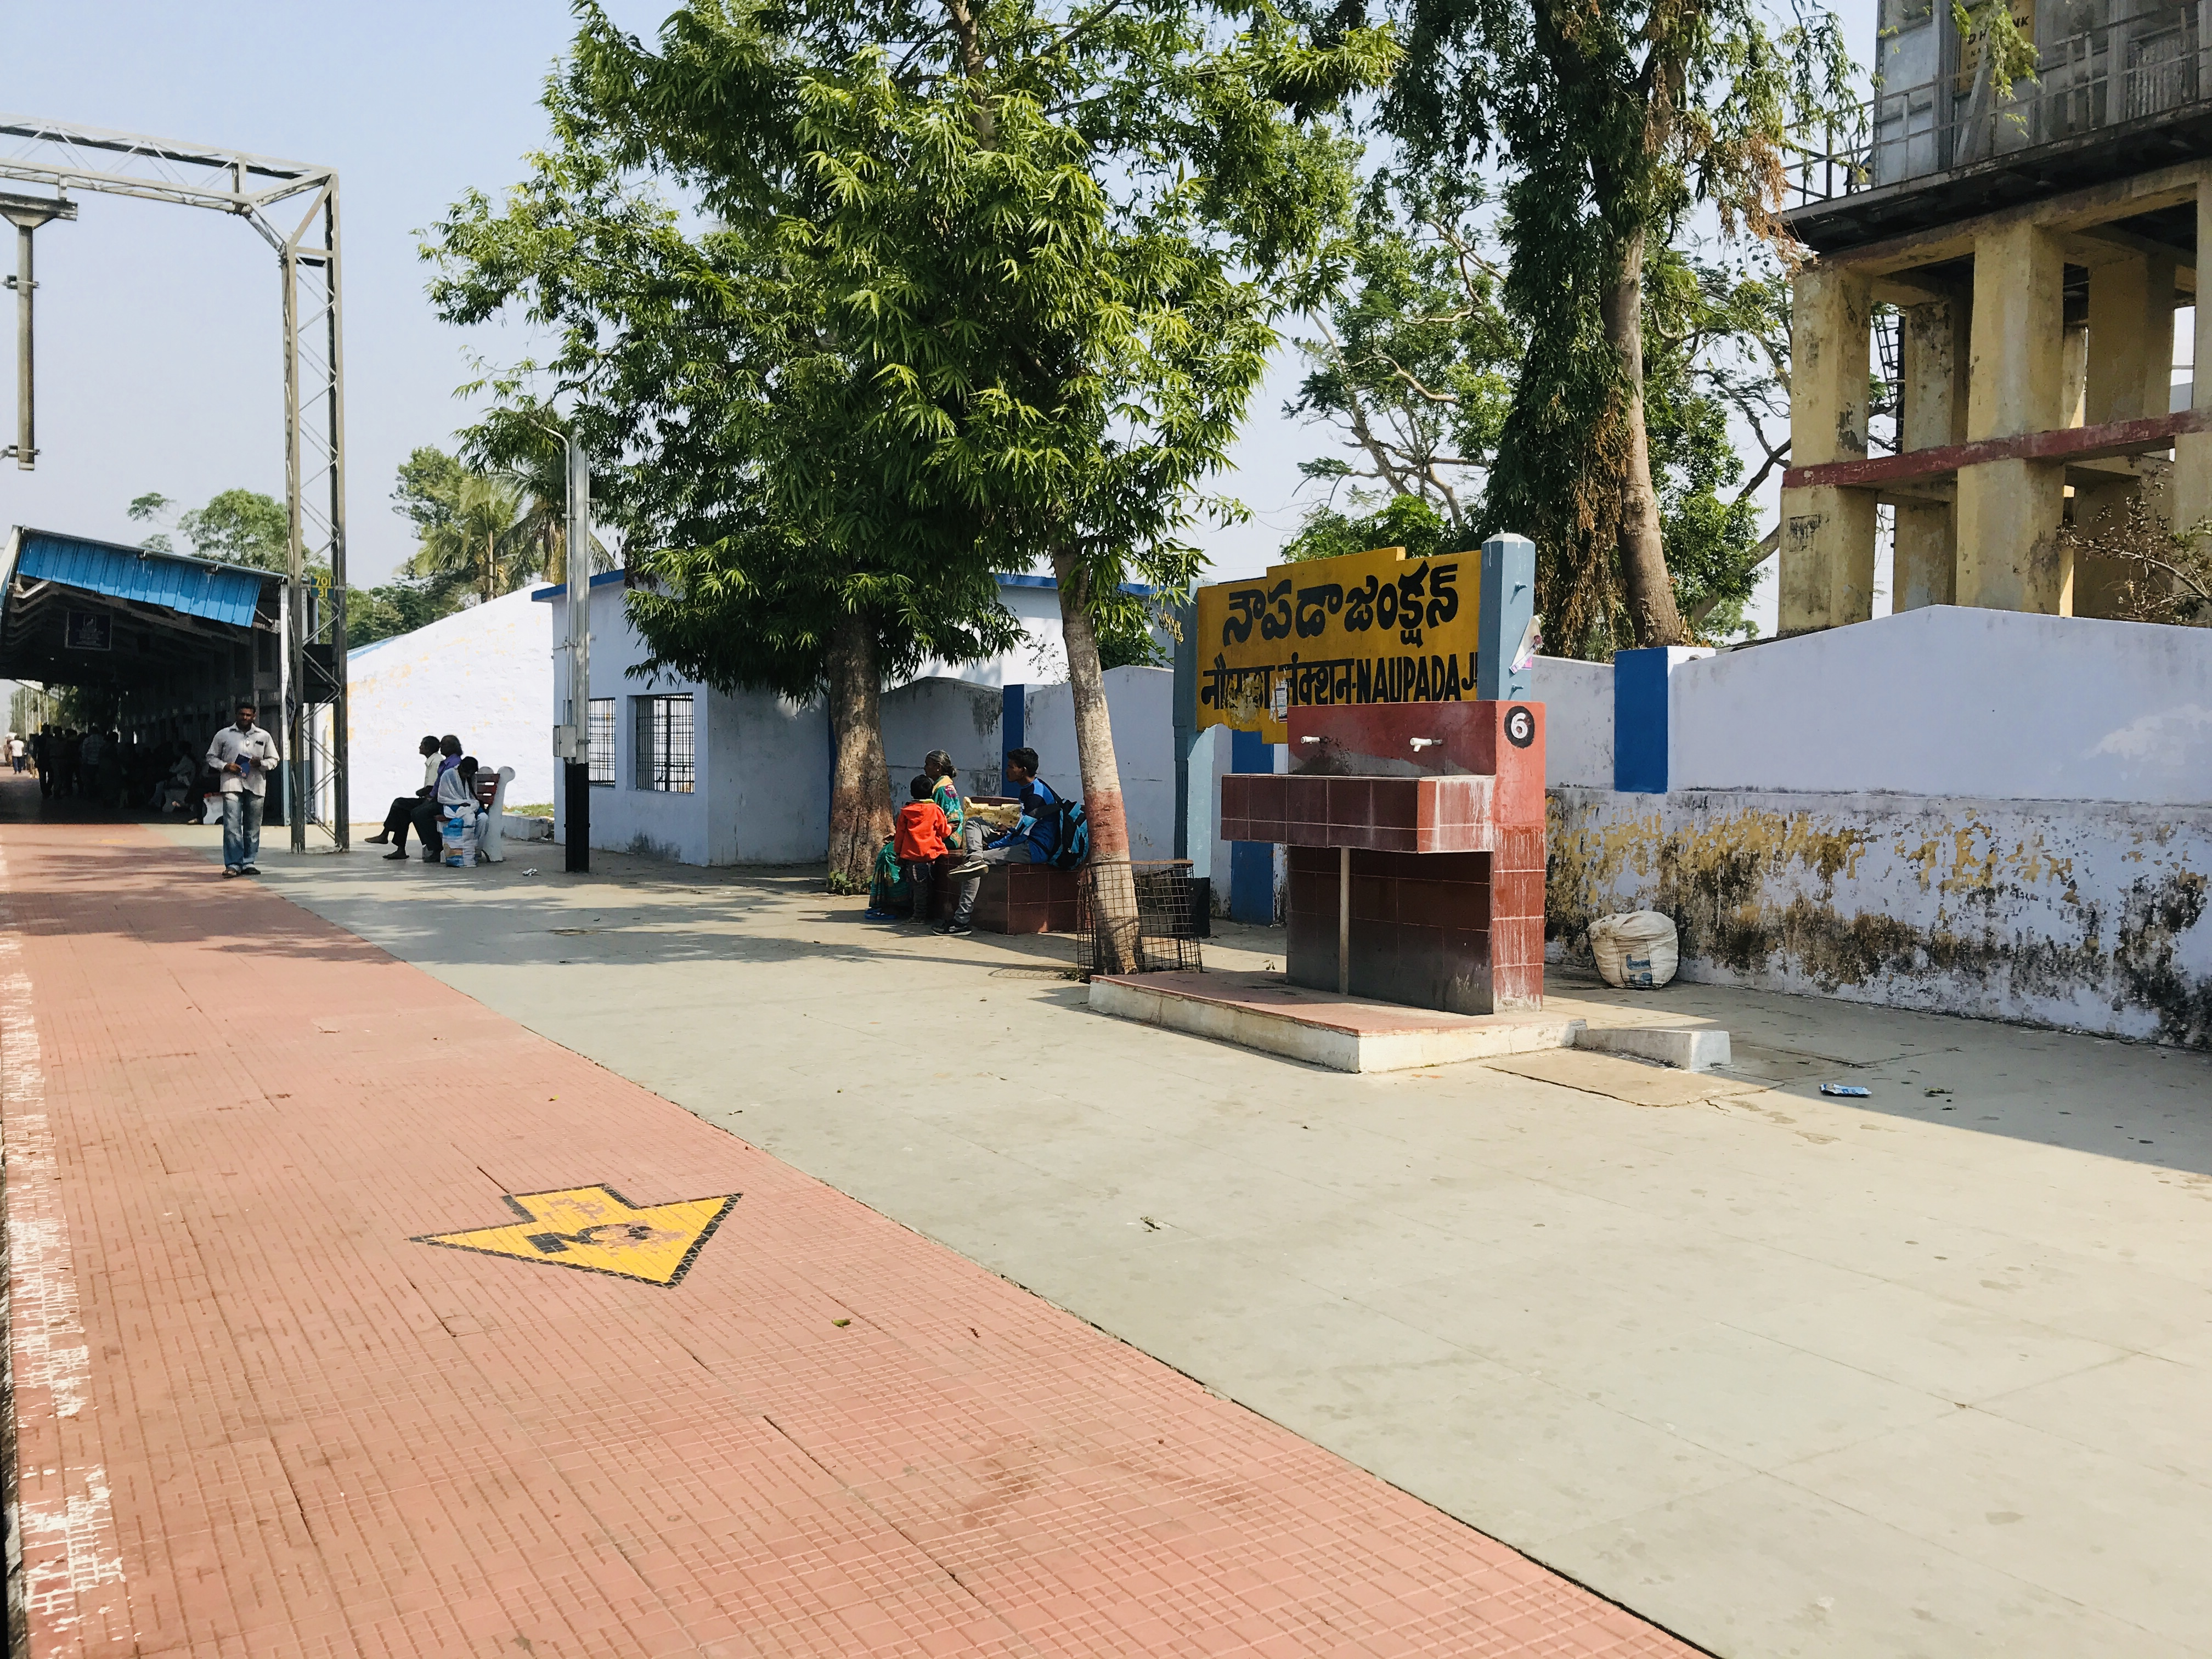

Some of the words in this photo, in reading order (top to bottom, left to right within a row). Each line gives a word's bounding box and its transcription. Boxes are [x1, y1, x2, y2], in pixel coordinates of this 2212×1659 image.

[1222, 571, 1347, 652] నౌపడా
[1341, 556, 1465, 652] జంక్షన్
[1194, 648, 1278, 715] नौ
[1274, 647, 1358, 713] जंक्शन
[1349, 648, 1465, 709] -NAUPADA